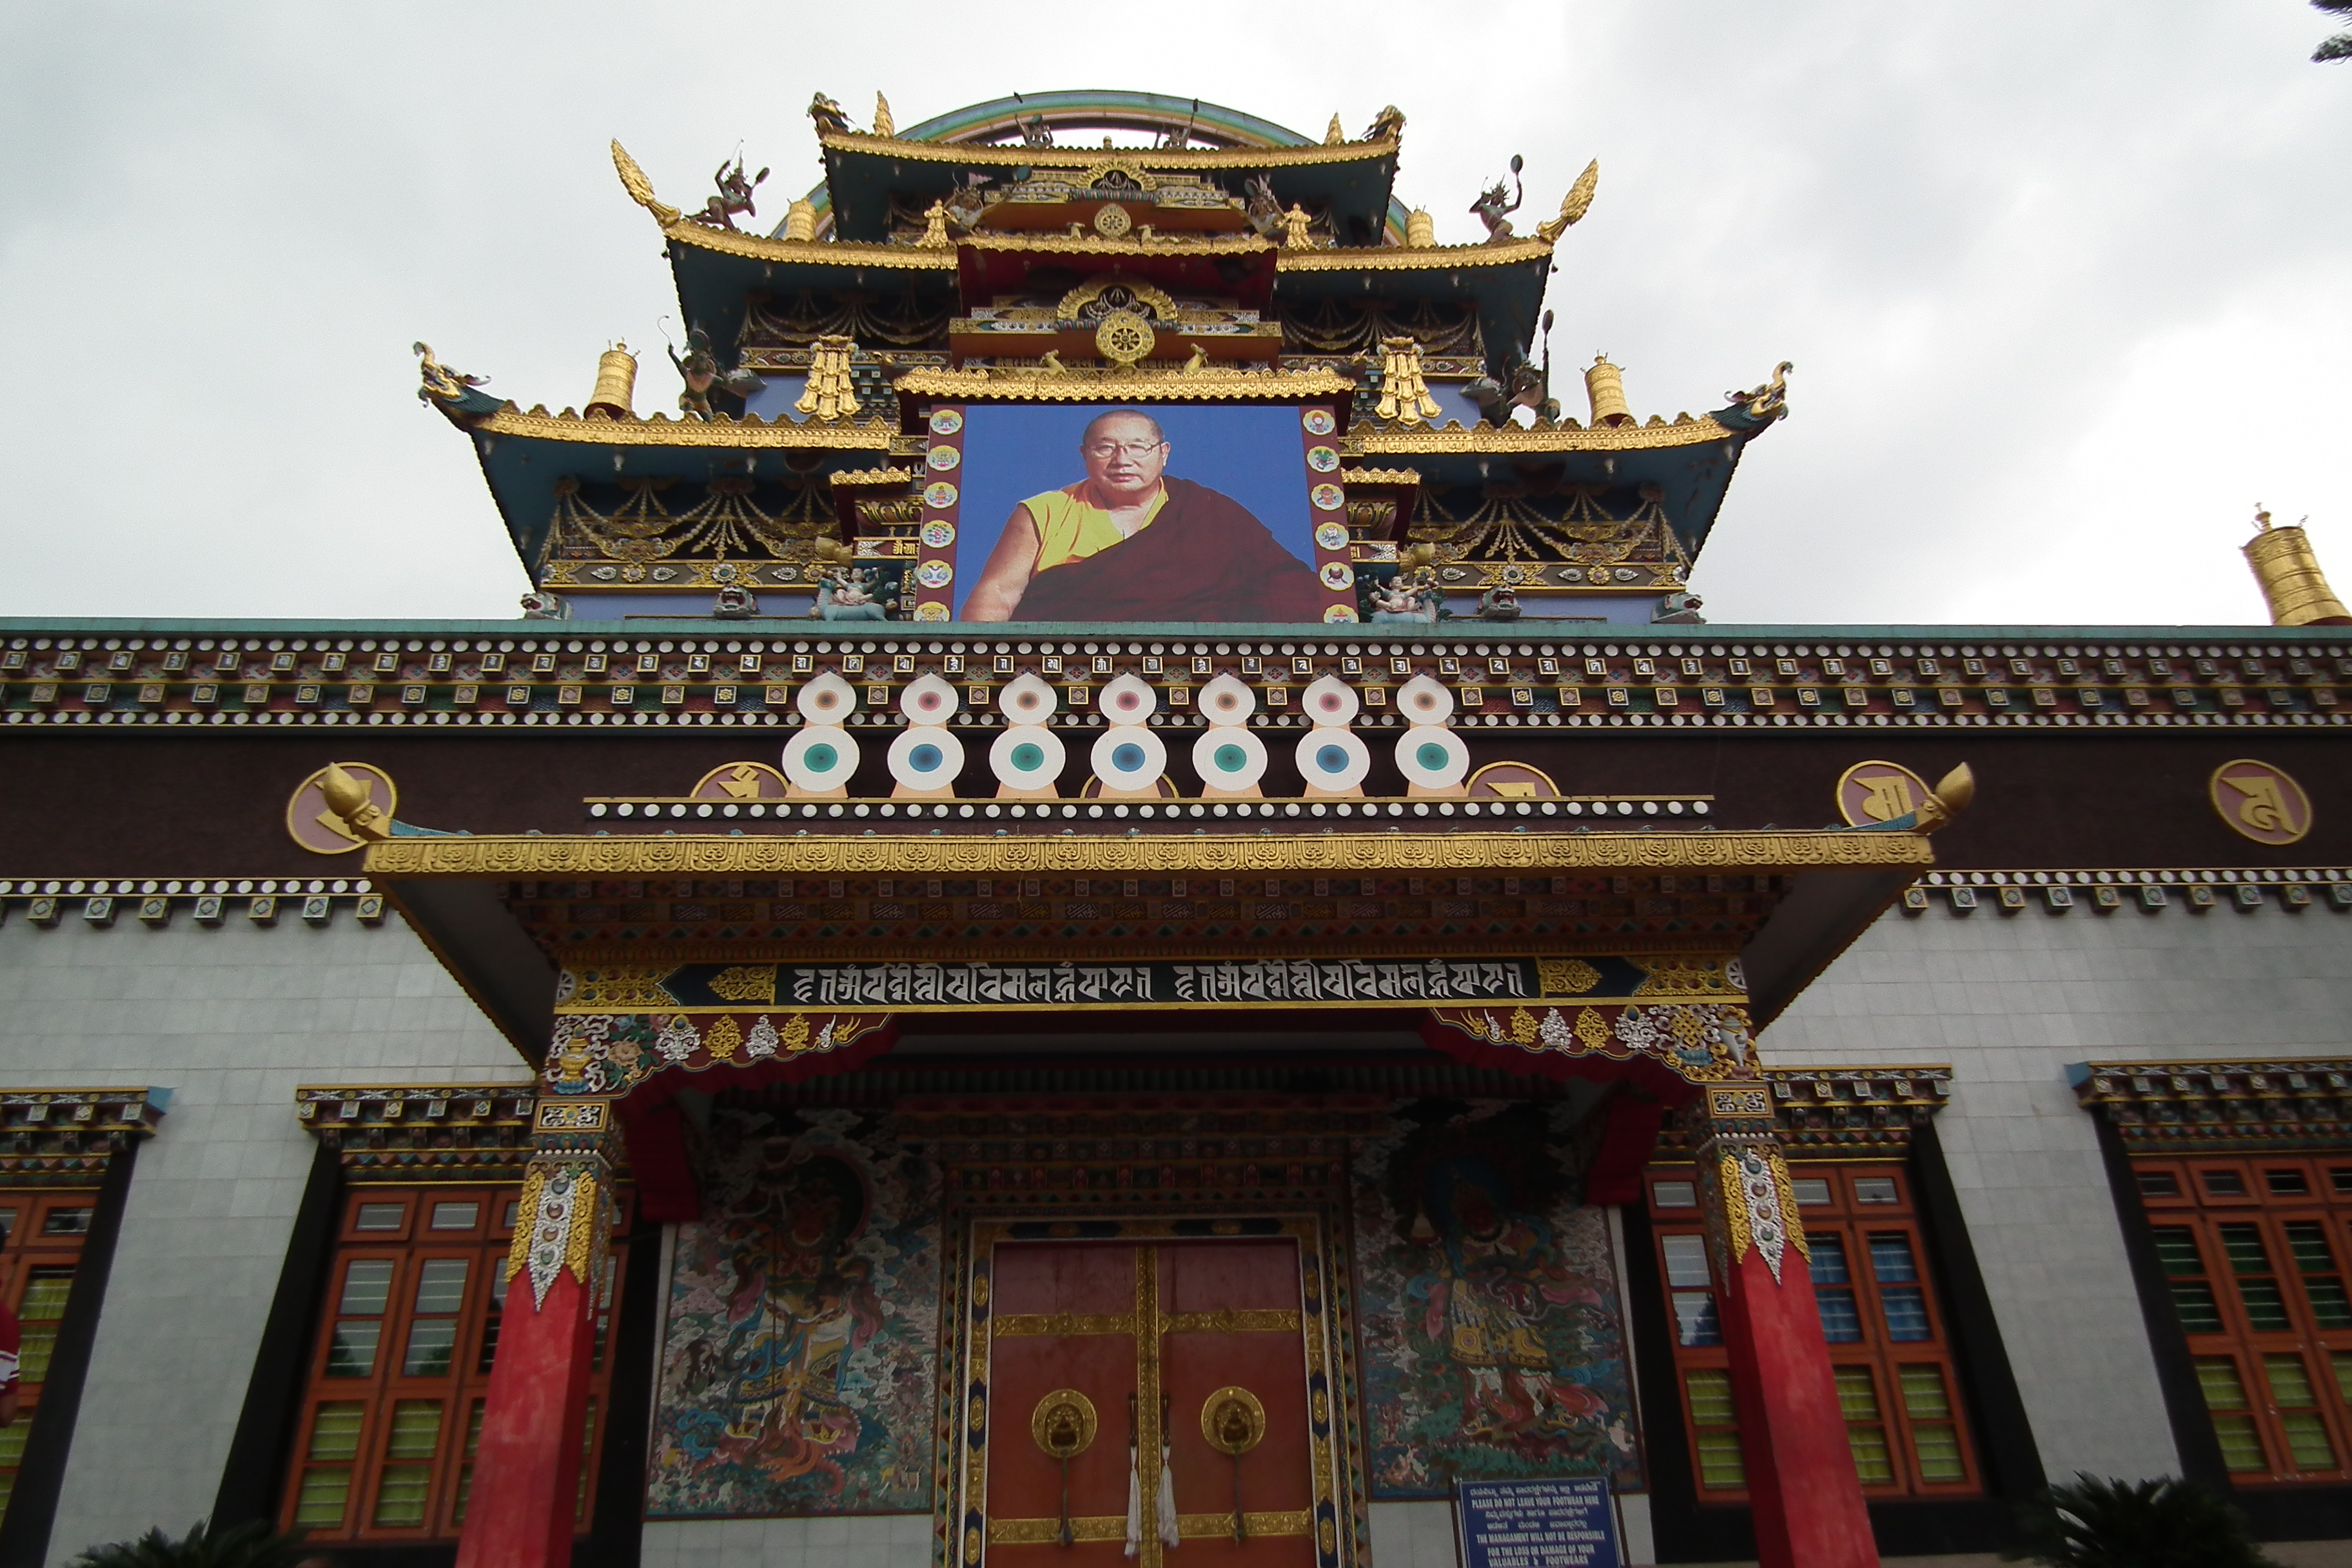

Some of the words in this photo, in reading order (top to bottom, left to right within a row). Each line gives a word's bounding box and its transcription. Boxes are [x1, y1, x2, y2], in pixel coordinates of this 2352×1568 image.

[1470, 1496, 1495, 1512] PLEASE
[1491, 1496, 1505, 1512] DO
[1500, 1495, 1518, 1512] NOT
[1514, 1494, 1537, 1511] LEAVE
[1533, 1493, 1554, 1509] YOUR
[1549, 1493, 1587, 1509] FOOTWEAR
[1473, 1531, 1493, 1547] THE
[1486, 1530, 1531, 1547] MANAGAMENT
[1525, 1531, 1547, 1545] WILL
[1539, 1529, 1558, 1543] NOT
[1563, 1527, 1608, 1542] RESPONSIBLE
[1483, 1544, 1504, 1559] FOR
[1499, 1544, 1516, 1559] THE
[1486, 1554, 1530, 1566] VALUABLES
[1511, 1543, 1533, 1558] LOSS
[1539, 1543, 1569, 1557] DAMAGE
[1543, 1552, 1591, 1565] FOOTWEARS
[1574, 1542, 1598, 1558] YOUR